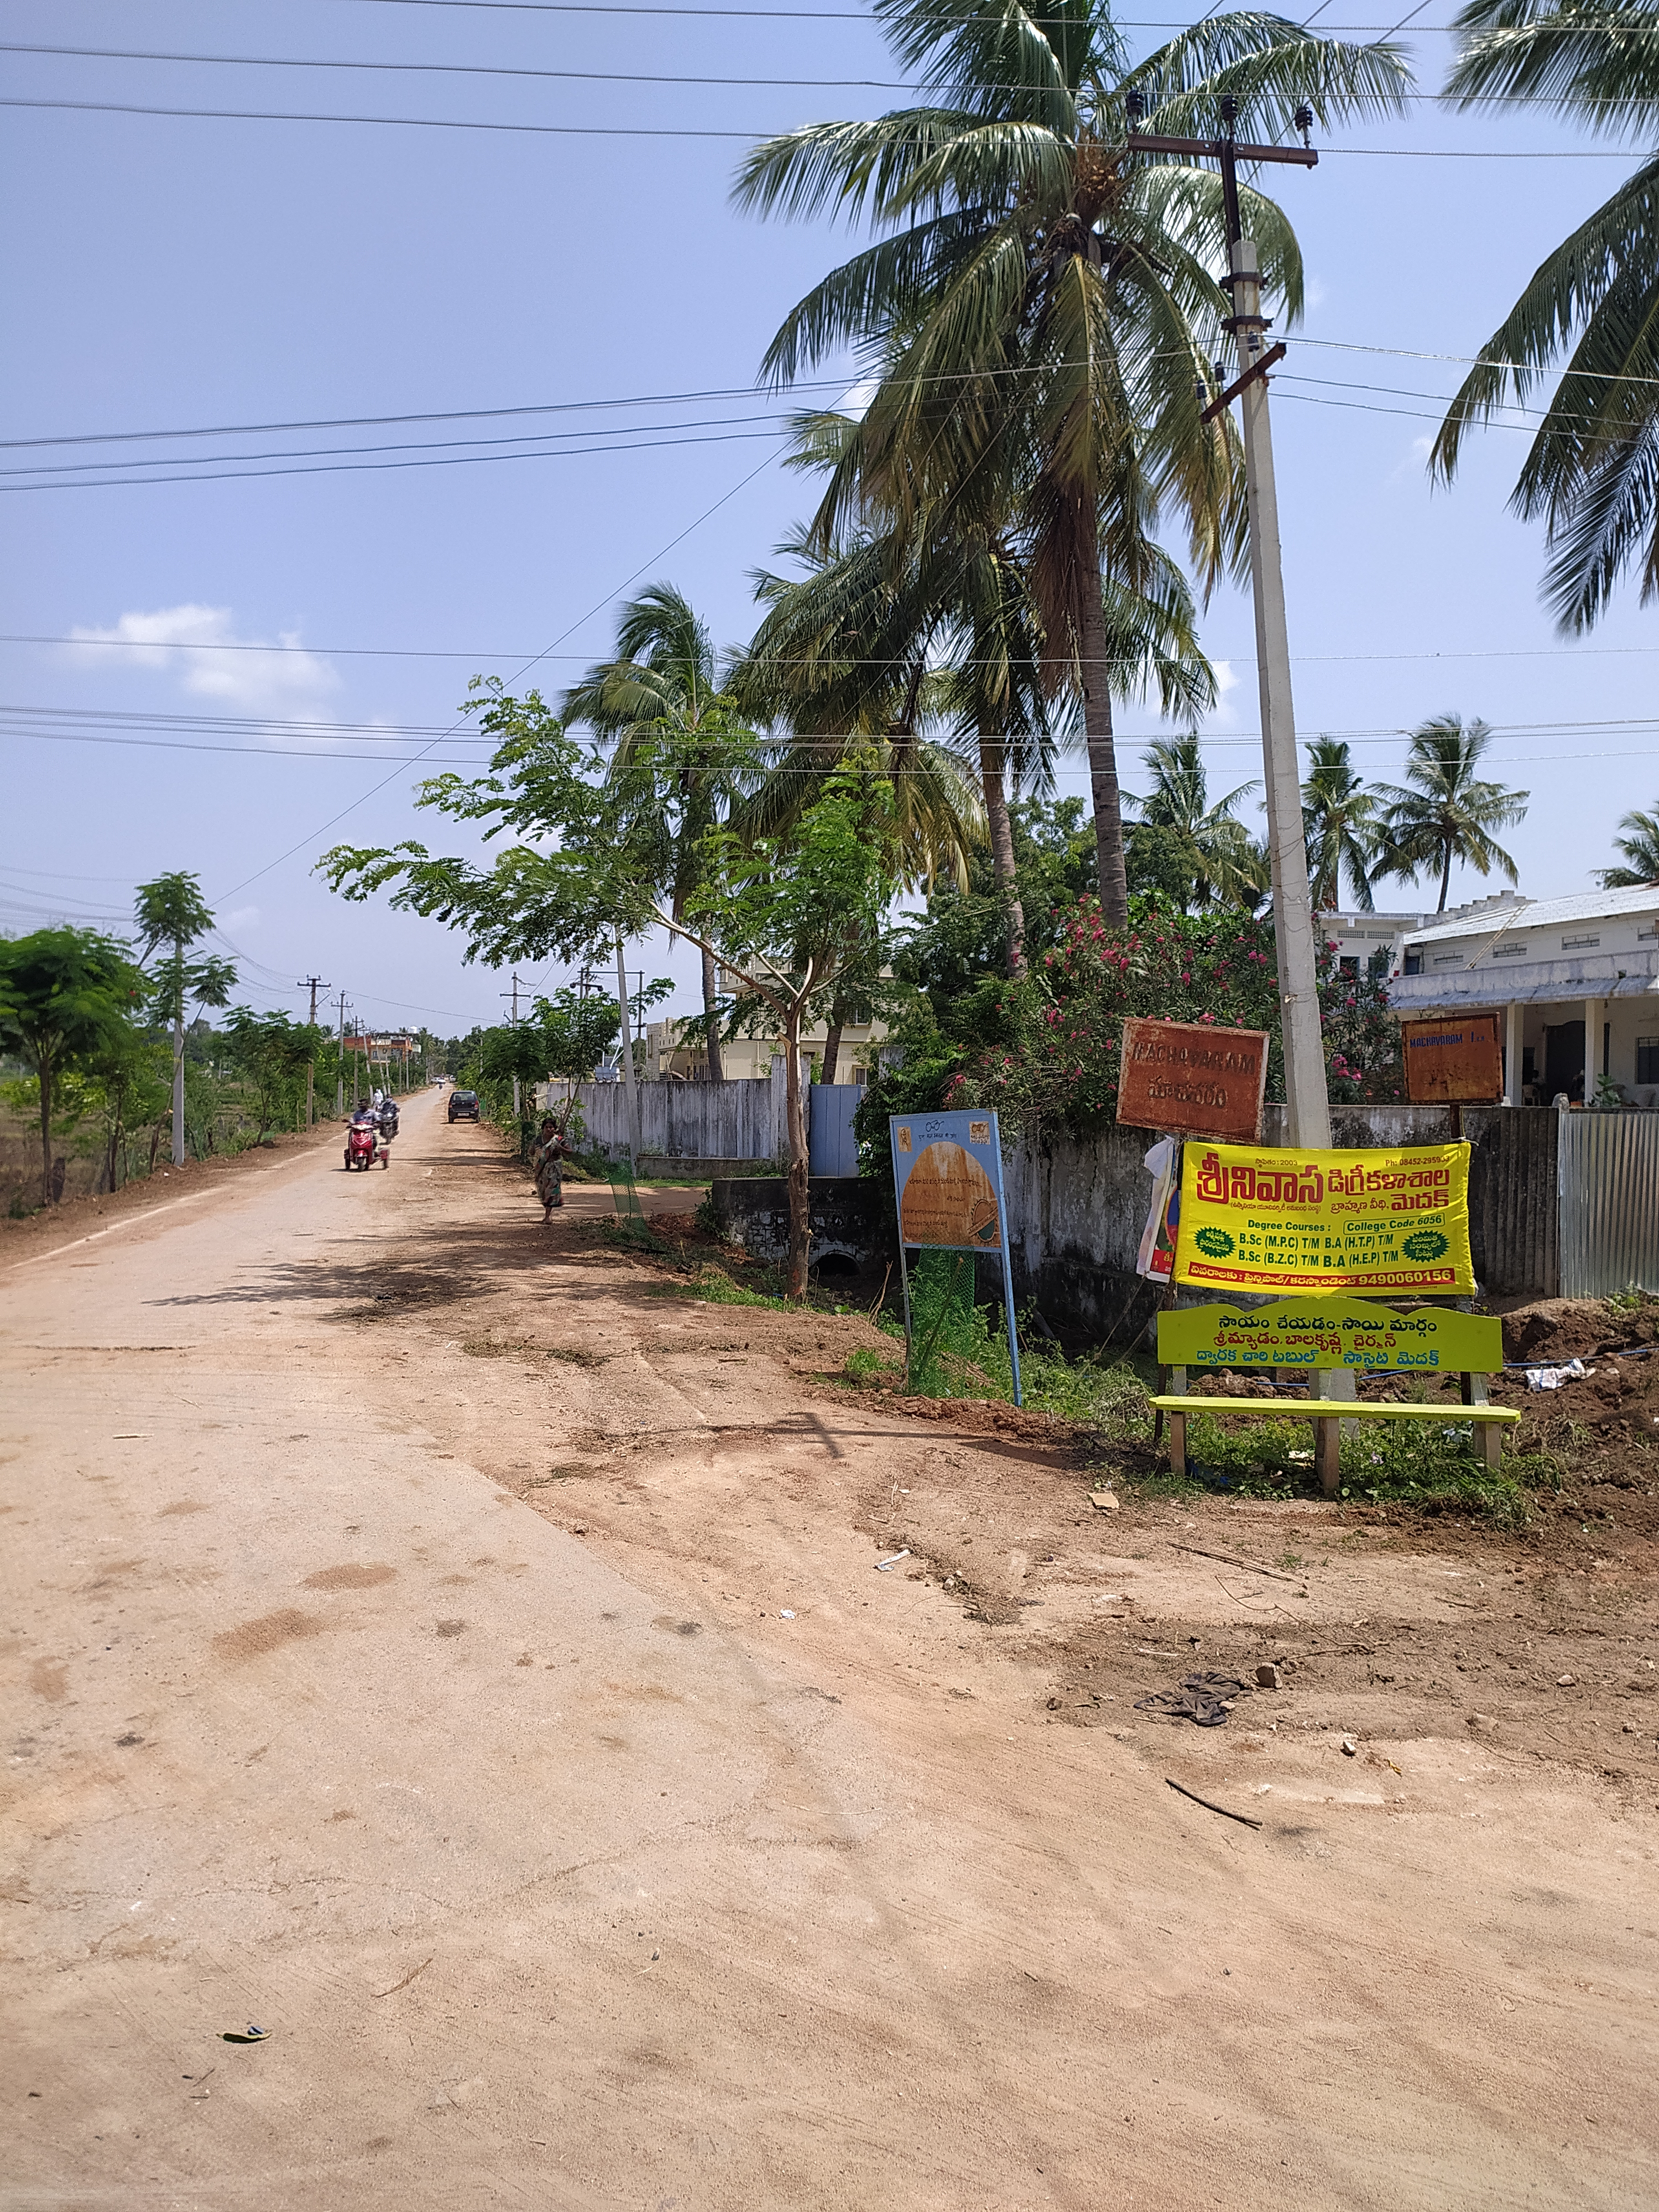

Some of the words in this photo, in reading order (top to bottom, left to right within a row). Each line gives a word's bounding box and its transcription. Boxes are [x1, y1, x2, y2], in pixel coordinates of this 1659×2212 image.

[1403, 1035, 1428, 1052] MAC
[1424, 1031, 1466, 1048] CHAVARAM
[1128, 1039, 1259, 1076] MACHAVARAM
[1142, 1072, 1232, 1111] మాధవరం
[1254, 1155, 1279, 1170] స్థాపితం:
[1278, 1156, 1299, 1168] 2003
[1383, 1153, 1452, 1168] Ph:08452-295933
[1194, 1149, 1327, 1207] శ్రీనివాస
[1324, 1161, 1452, 1198] డిగ్రీకళాశాల
[1285, 1201, 1323, 1216] అనుబంధ సంస్థ్ర
[1329, 1198, 1370, 1216] బ్రాహ్మణ
[1368, 1194, 1389, 1214] వీధి
[1386, 1187, 1453, 1213] మెదక్
[1245, 1217, 1286, 1233] Degree
[1284, 1218, 1328, 1234] Courses
[1343, 1219, 1387, 1234] College
[1387, 1217, 1417, 1230] Code
[1414, 1214, 1446, 1228] 6056
[1238, 1228, 1263, 1247] B.Sc
[1267, 1233, 1301, 1251] (M.P.C)
[1301, 1234, 1322, 1252] T/M
[1322, 1235, 1343, 1251] B.A
[1347, 1234, 1375, 1250] (H.T.P)
[1378, 1232, 1399, 1247] T/M
[1408, 1234, 1442, 1246] పరిమిత
[1236, 1245, 1264, 1265] B.Sc
[1266, 1249, 1295, 1269] B.Z.C
[1300, 1251, 1348, 1268] T/MB.A
[1347, 1247, 1383, 1270] (H.E.P)
[1382, 1248, 1402, 1265] T/M
[1415, 1248, 1436, 1260] సీట్లు
[1190, 1261, 1241, 1284] వివరాలకు
[1240, 1270, 1286, 1286] ప్రిన్సిపాల్
[1288, 1274, 1358, 1290] కరస్పాండెంట్
[1357, 1269, 1454, 1286] 9490060156
[1218, 1311, 1274, 1330] సాయం
[1276, 1313, 1338, 1331] చేయడం
[1340, 1313, 1386, 1333] సాయి
[1386, 1313, 1441, 1340] మార్గం
[1208, 1328, 1284, 1353] శ్రీమ్యాడం
[1284, 1330, 1347, 1357] బాలకృష్ణ
[1350, 1329, 1399, 1352] చైర్మన్
[1193, 1347, 1240, 1366] ద్వారక
[1240, 1349, 1271, 1364] చారి
[1270, 1345, 1321, 1365] టబుల్
[1342, 1348, 1391, 1371] సాసైట
[1394, 1348, 1443, 1369] మెదక్